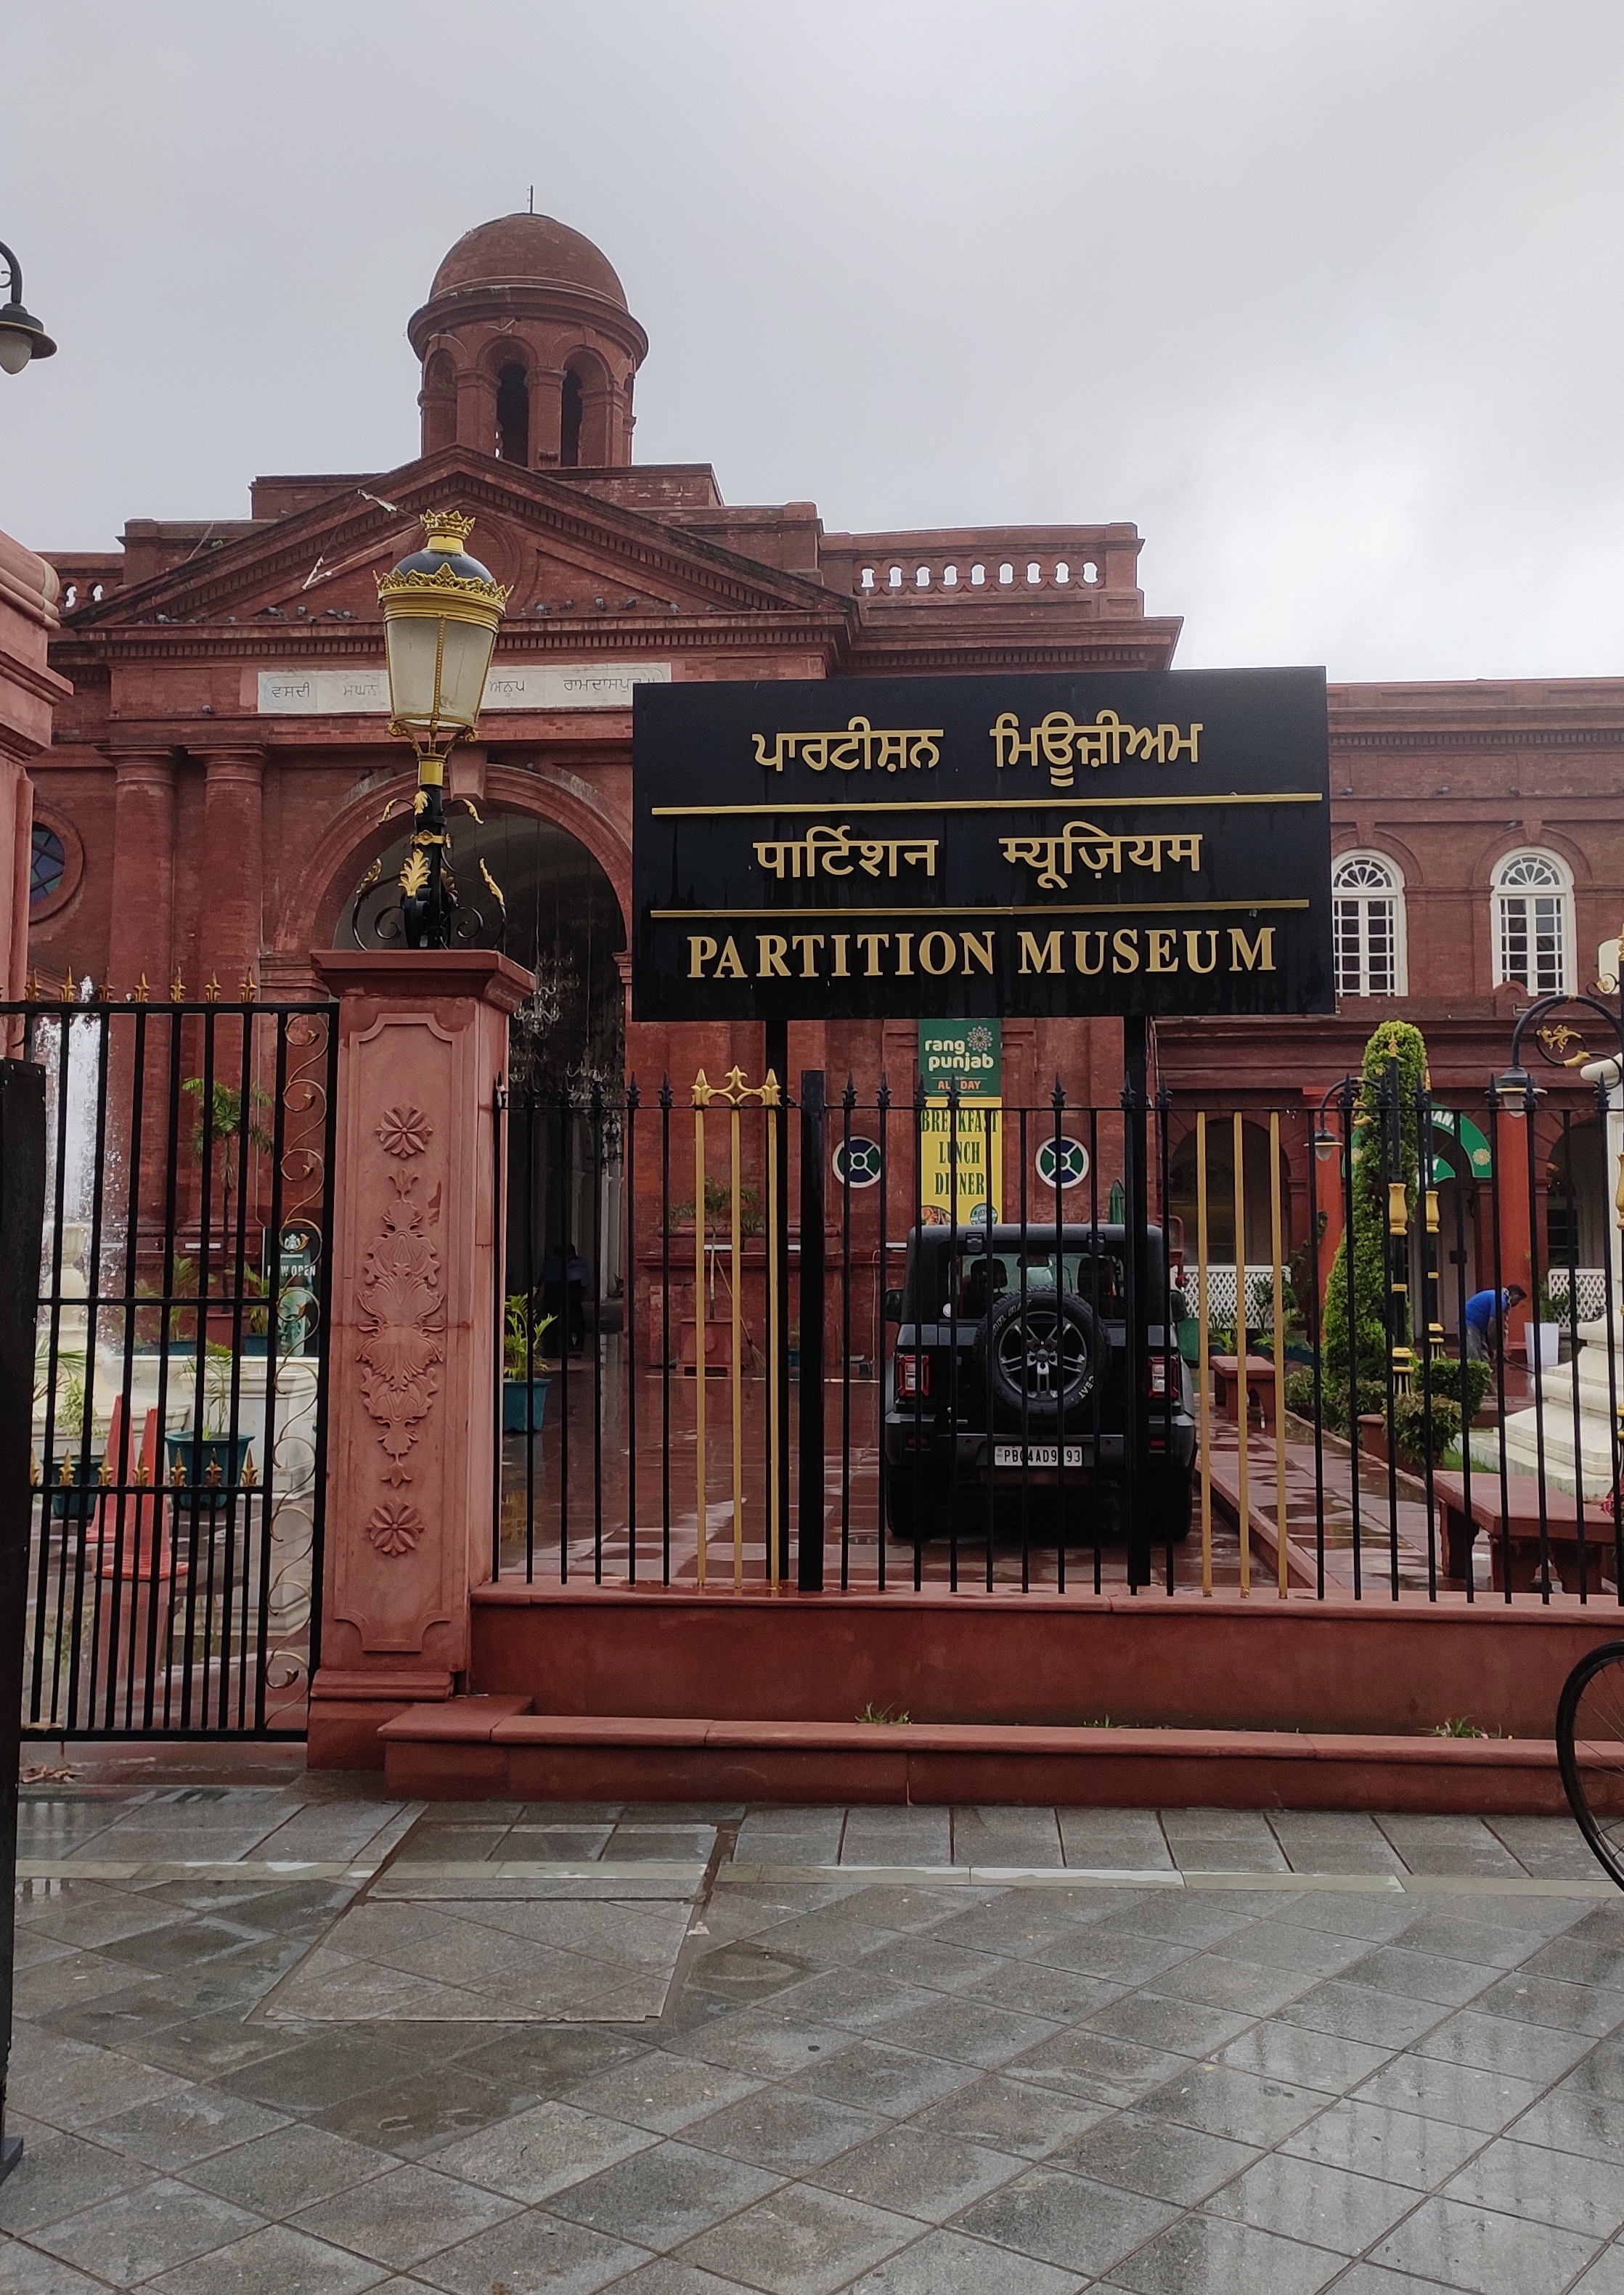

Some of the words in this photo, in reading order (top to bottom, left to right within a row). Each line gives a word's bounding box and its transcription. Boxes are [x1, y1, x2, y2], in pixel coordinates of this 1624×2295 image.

[269, 675, 313, 704] ਵਸਦੀ
[484, 677, 530, 699] ਅਨੂਪ
[727, 709, 956, 788] ਪਾਰਟੀਸ਼ਨ
[978, 696, 1218, 793] ਮਿਊਜ਼ੀਅਮ
[733, 818, 950, 894] पार्टिशन
[983, 815, 1211, 897] म्यूज़ियम
[678, 921, 1001, 995] PARTITION
[1013, 921, 1282, 979] MUSEUM
[920, 1035, 966, 1056] rang
[925, 1048, 998, 1076] punjab
[958, 1079, 984, 1091] DAY
[958, 1169, 987, 1199] NER
[1002, 1448, 1019, 1465] PB
[1027, 1448, 1058, 1464] 4AD9
[1064, 1447, 1083, 1464] 93